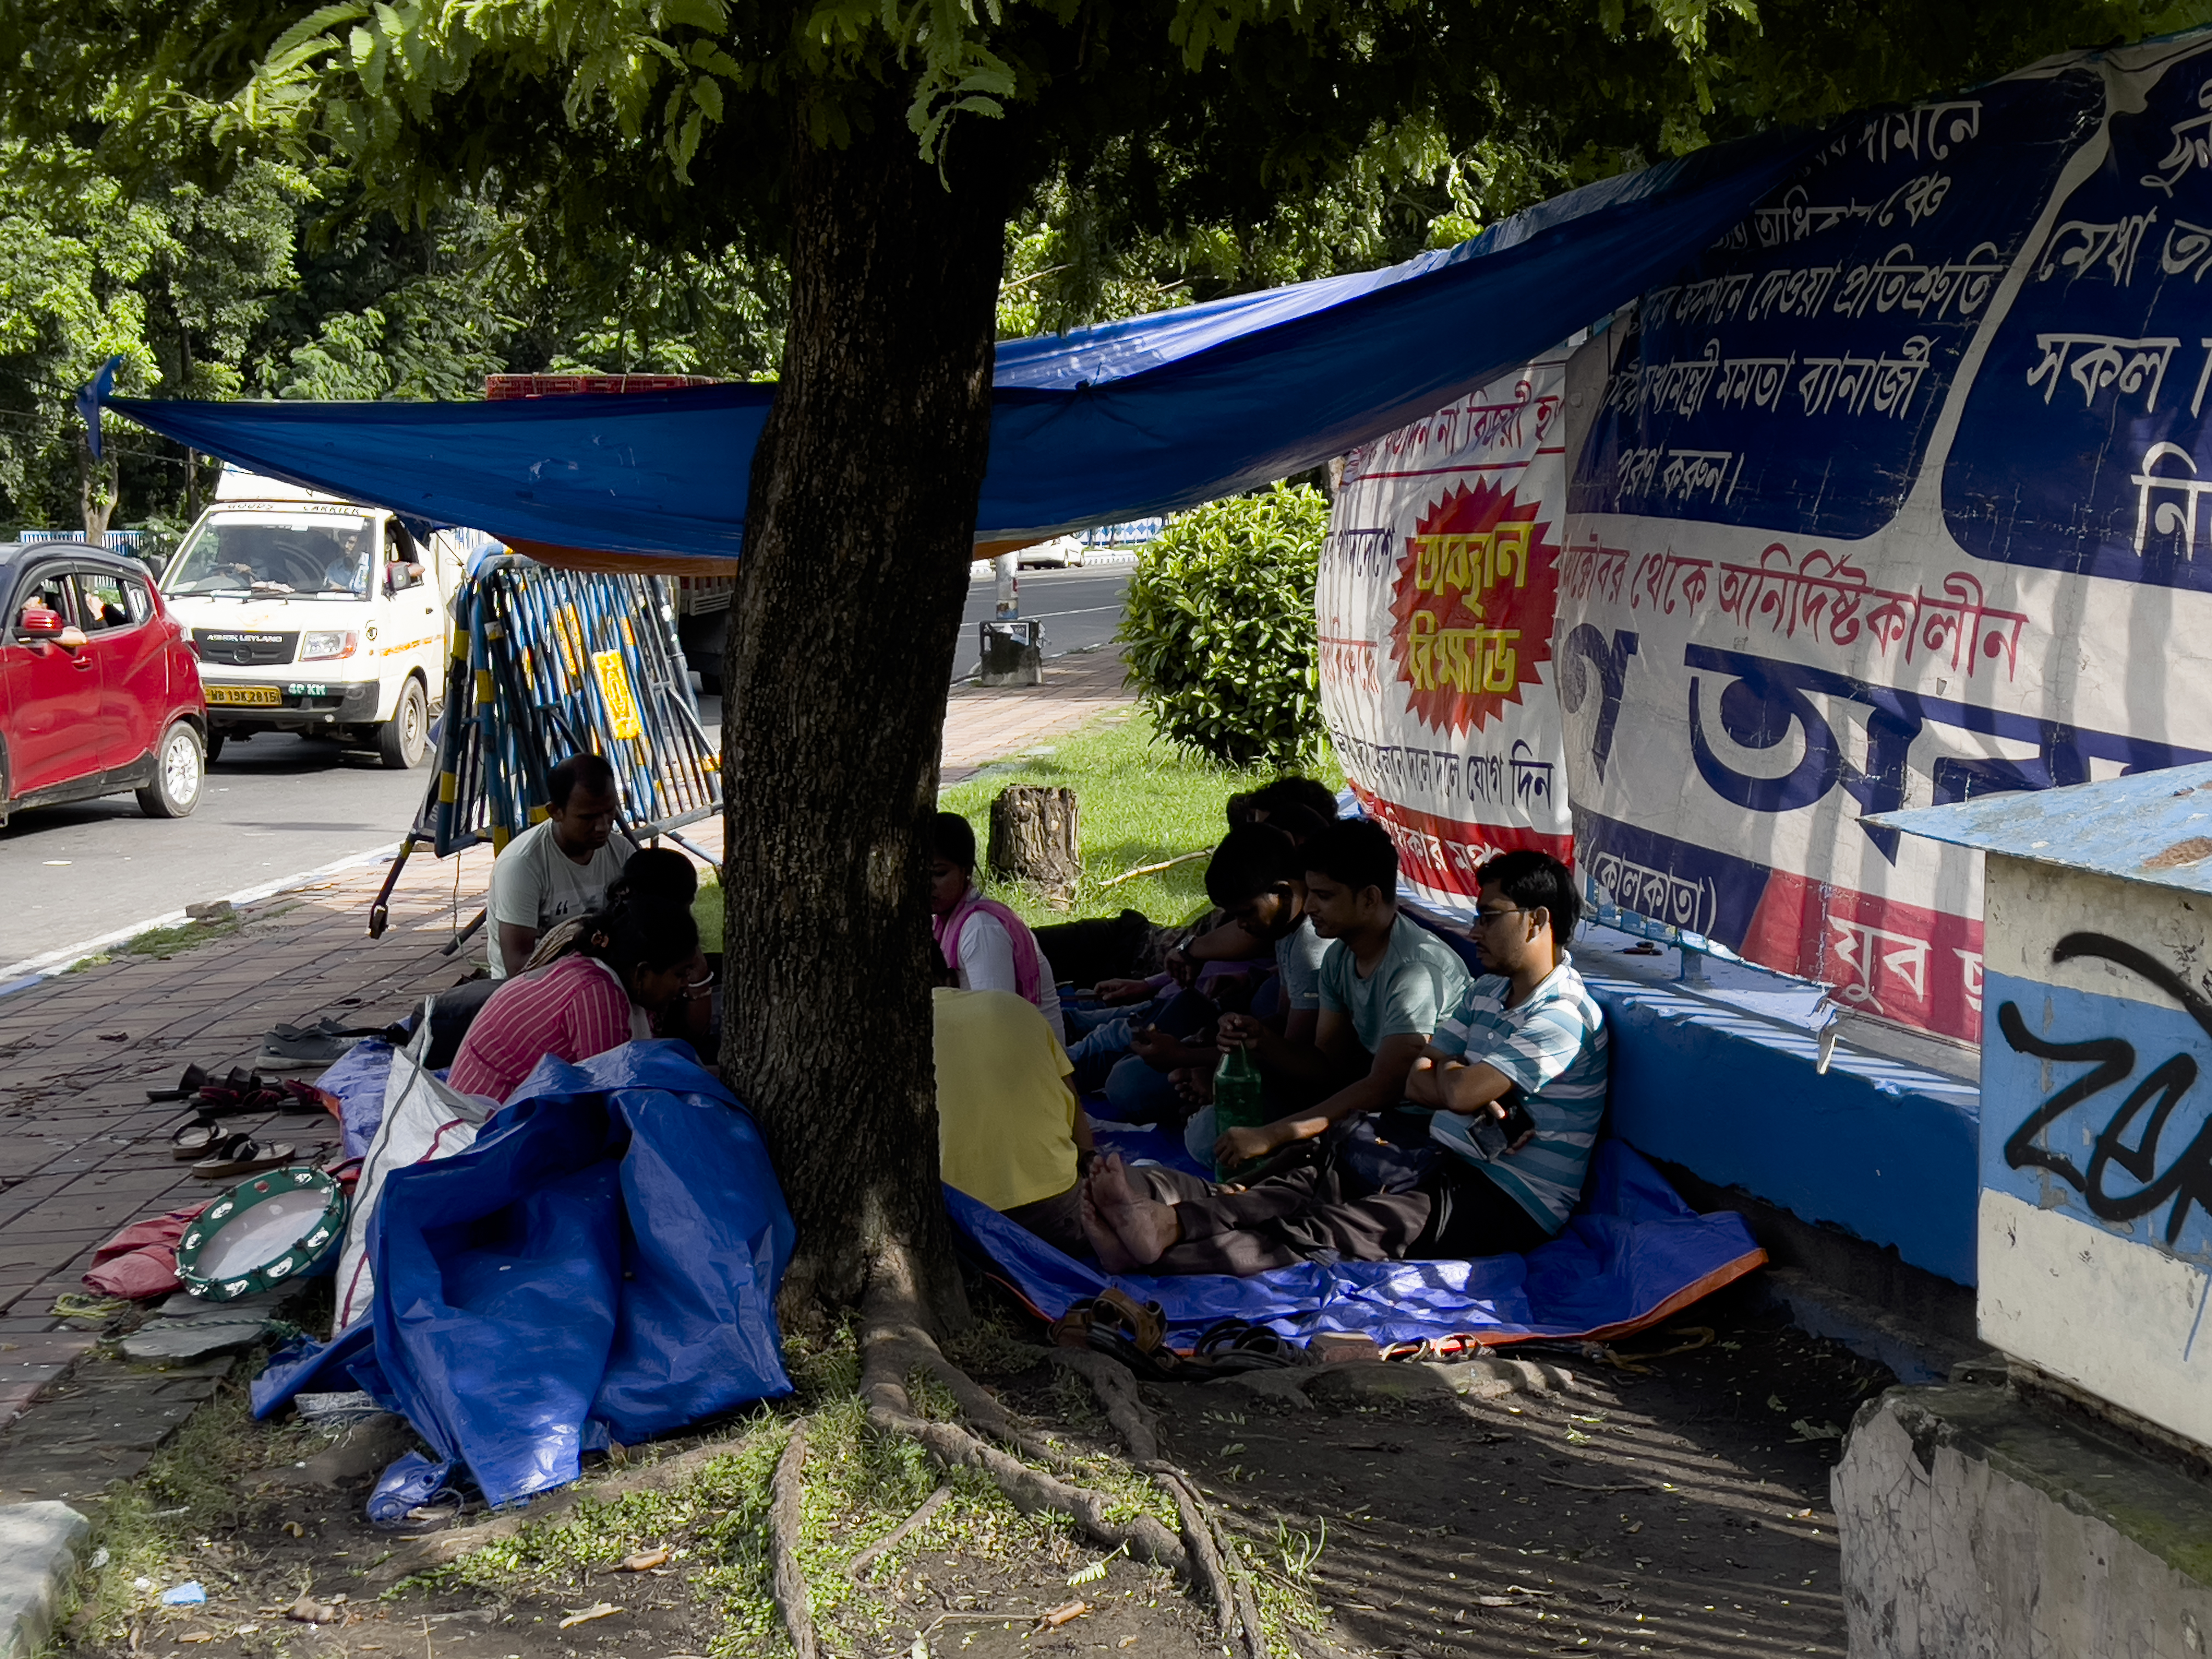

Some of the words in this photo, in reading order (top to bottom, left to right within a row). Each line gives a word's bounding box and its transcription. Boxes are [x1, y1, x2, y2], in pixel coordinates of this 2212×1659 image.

[1851, 93, 1988, 168] মনে
[1666, 263, 1762, 332] অনশনে
[1736, 259, 1848, 326] দেওয়া
[1751, 176, 1869, 247] অধি
[1869, 168, 1961, 235] ঞ্চে
[1828, 229, 2014, 324] প্রতিশ্রুতি
[2029, 199, 2158, 293] মেধা
[1458, 375, 1542, 454] বিজয়ী
[1702, 343, 1805, 423] মমতা
[1793, 325, 1939, 422] ব্যানার্জী
[2019, 317, 2188, 418] সকল
[1608, 438, 1750, 519] পূরণকরুন।
[2124, 428, 2202, 568] নি
[1407, 515, 1537, 623] অবস্থান
[1558, 517, 1644, 606] অক্টোবর
[1618, 539, 1718, 617] থেকে
[1706, 533, 2036, 686] অনির্দিষ্টকালীন
[1458, 751, 1510, 811] যোগ
[1491, 726, 1561, 821] দিন
[1592, 842, 1719, 934] কোলকাতা
[1815, 909, 1940, 1017] যুব